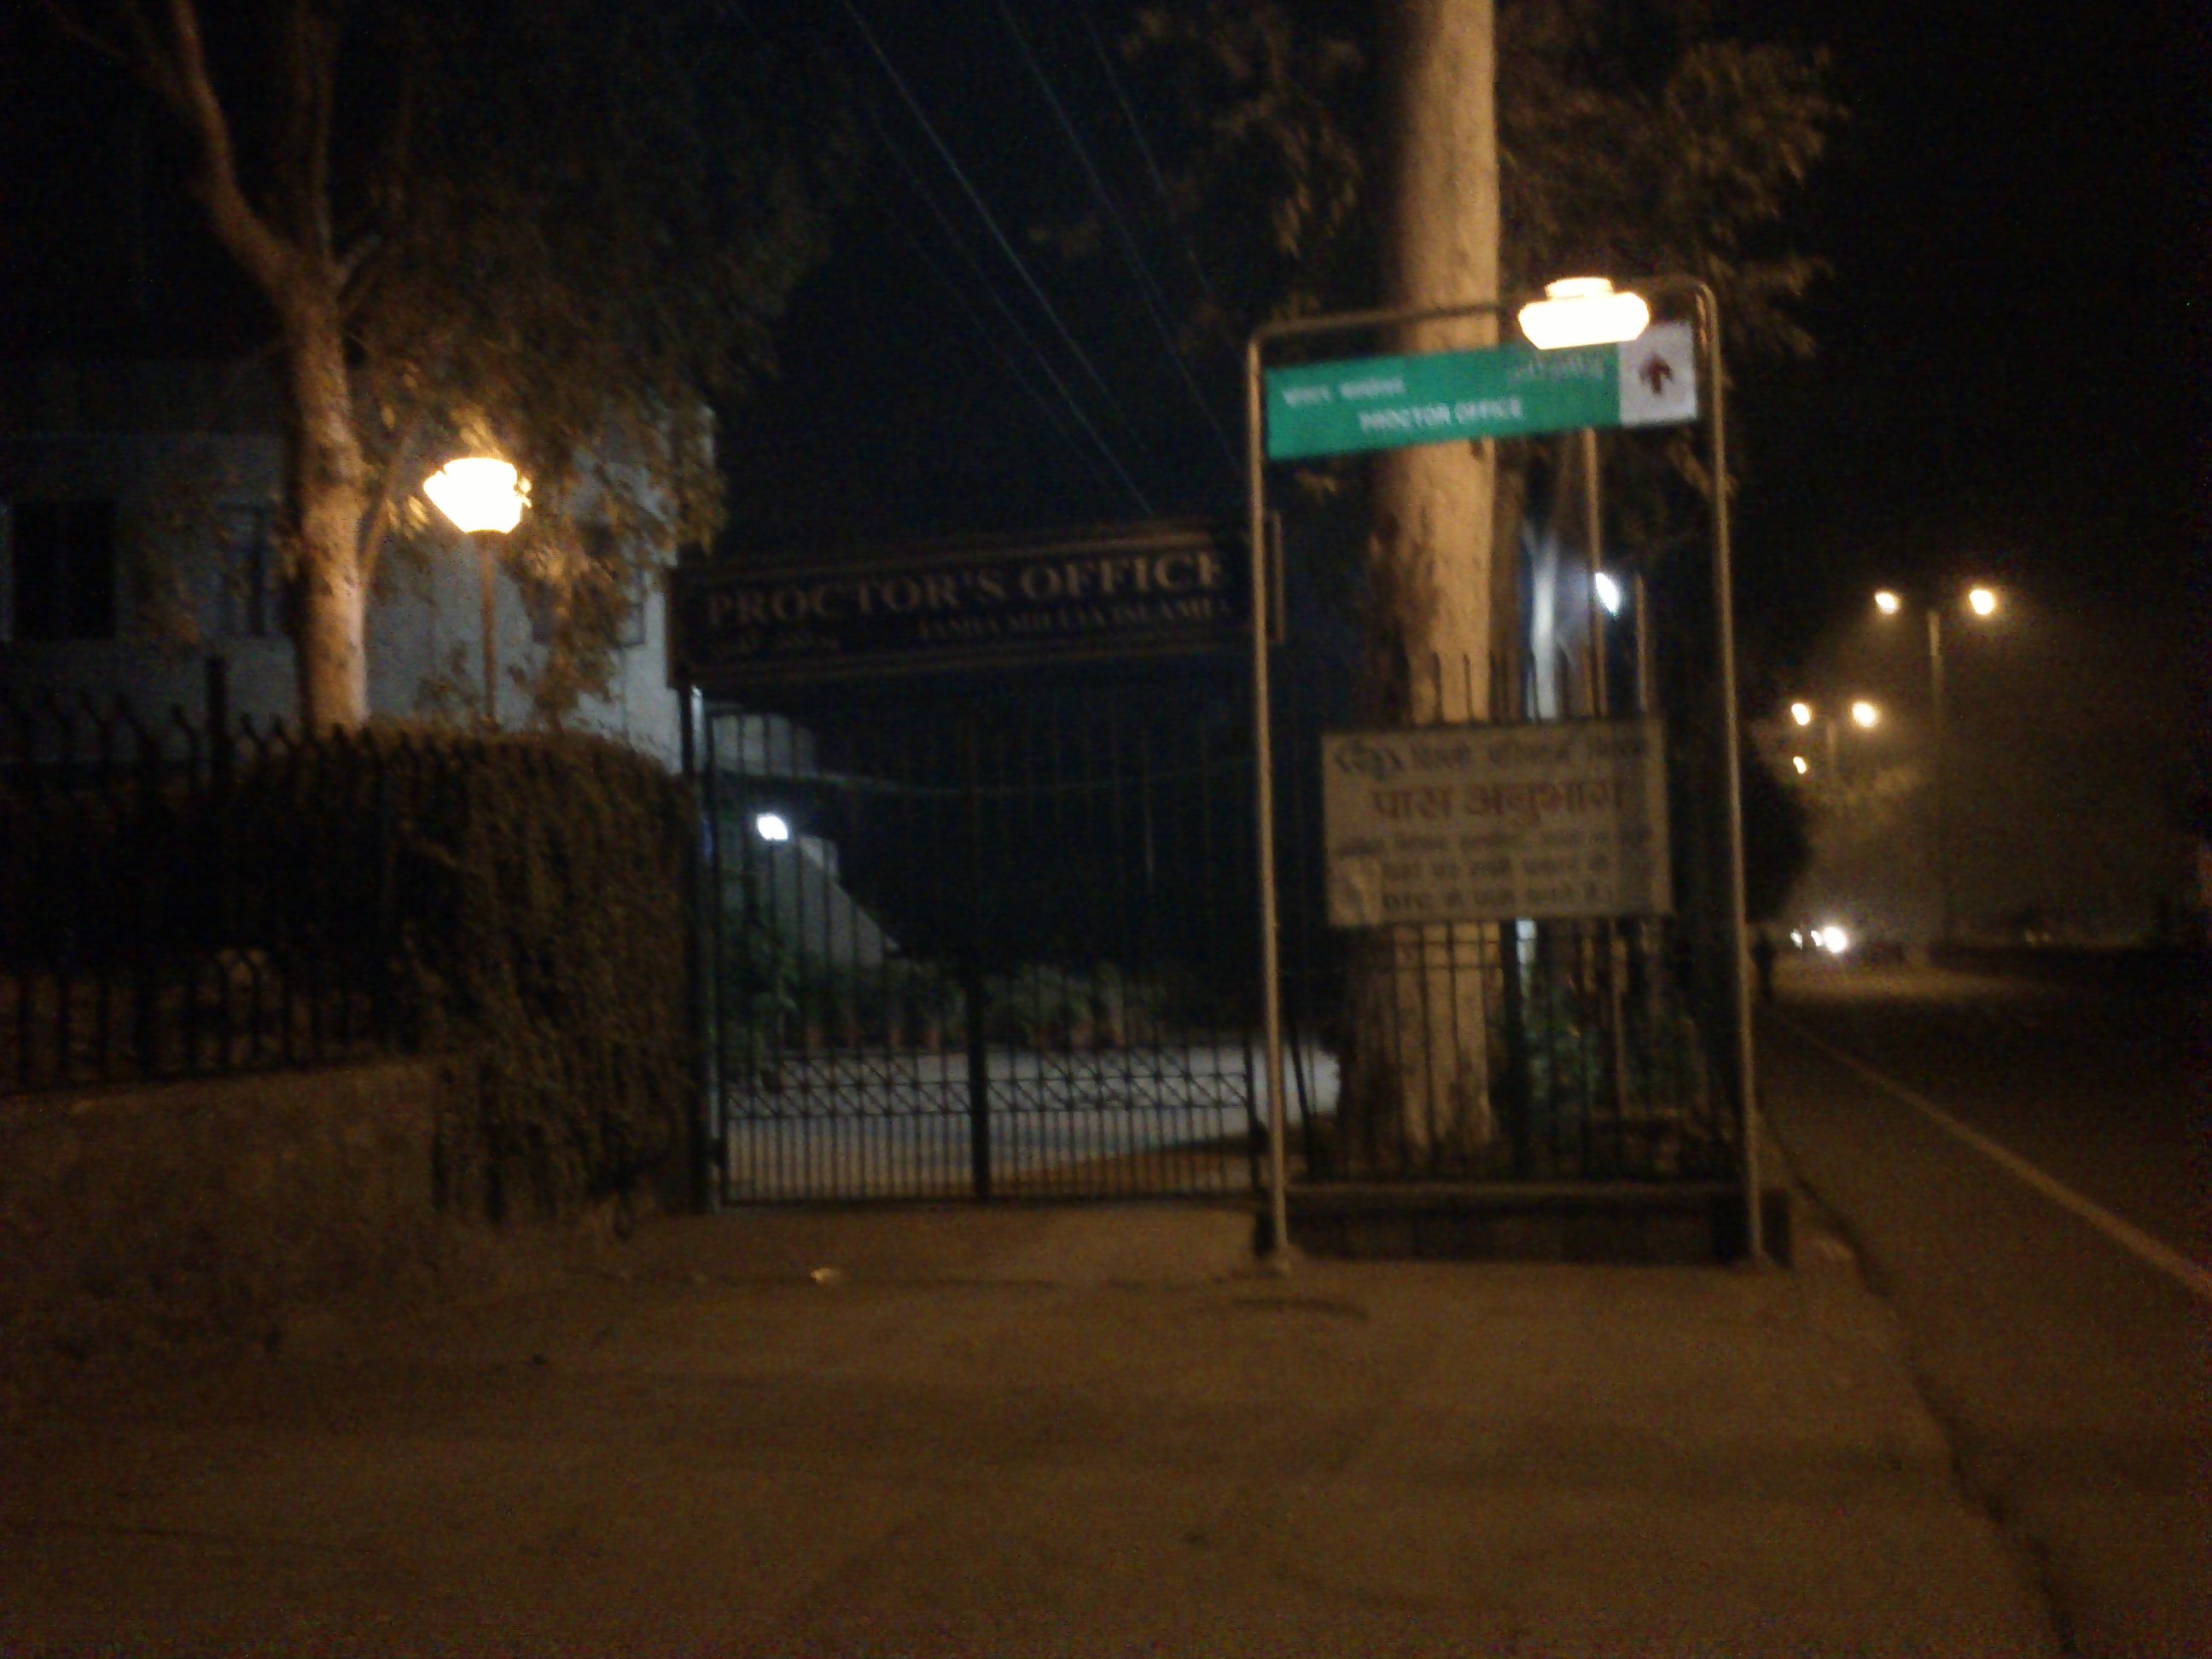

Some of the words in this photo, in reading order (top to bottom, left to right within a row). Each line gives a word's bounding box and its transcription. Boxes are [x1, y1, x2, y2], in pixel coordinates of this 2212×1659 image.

[705, 571, 964, 633] PROCTOR
[1012, 548, 1227, 608] OFFICE
[1367, 783, 1456, 824] पास
[1461, 776, 1613, 835] अनुभाग